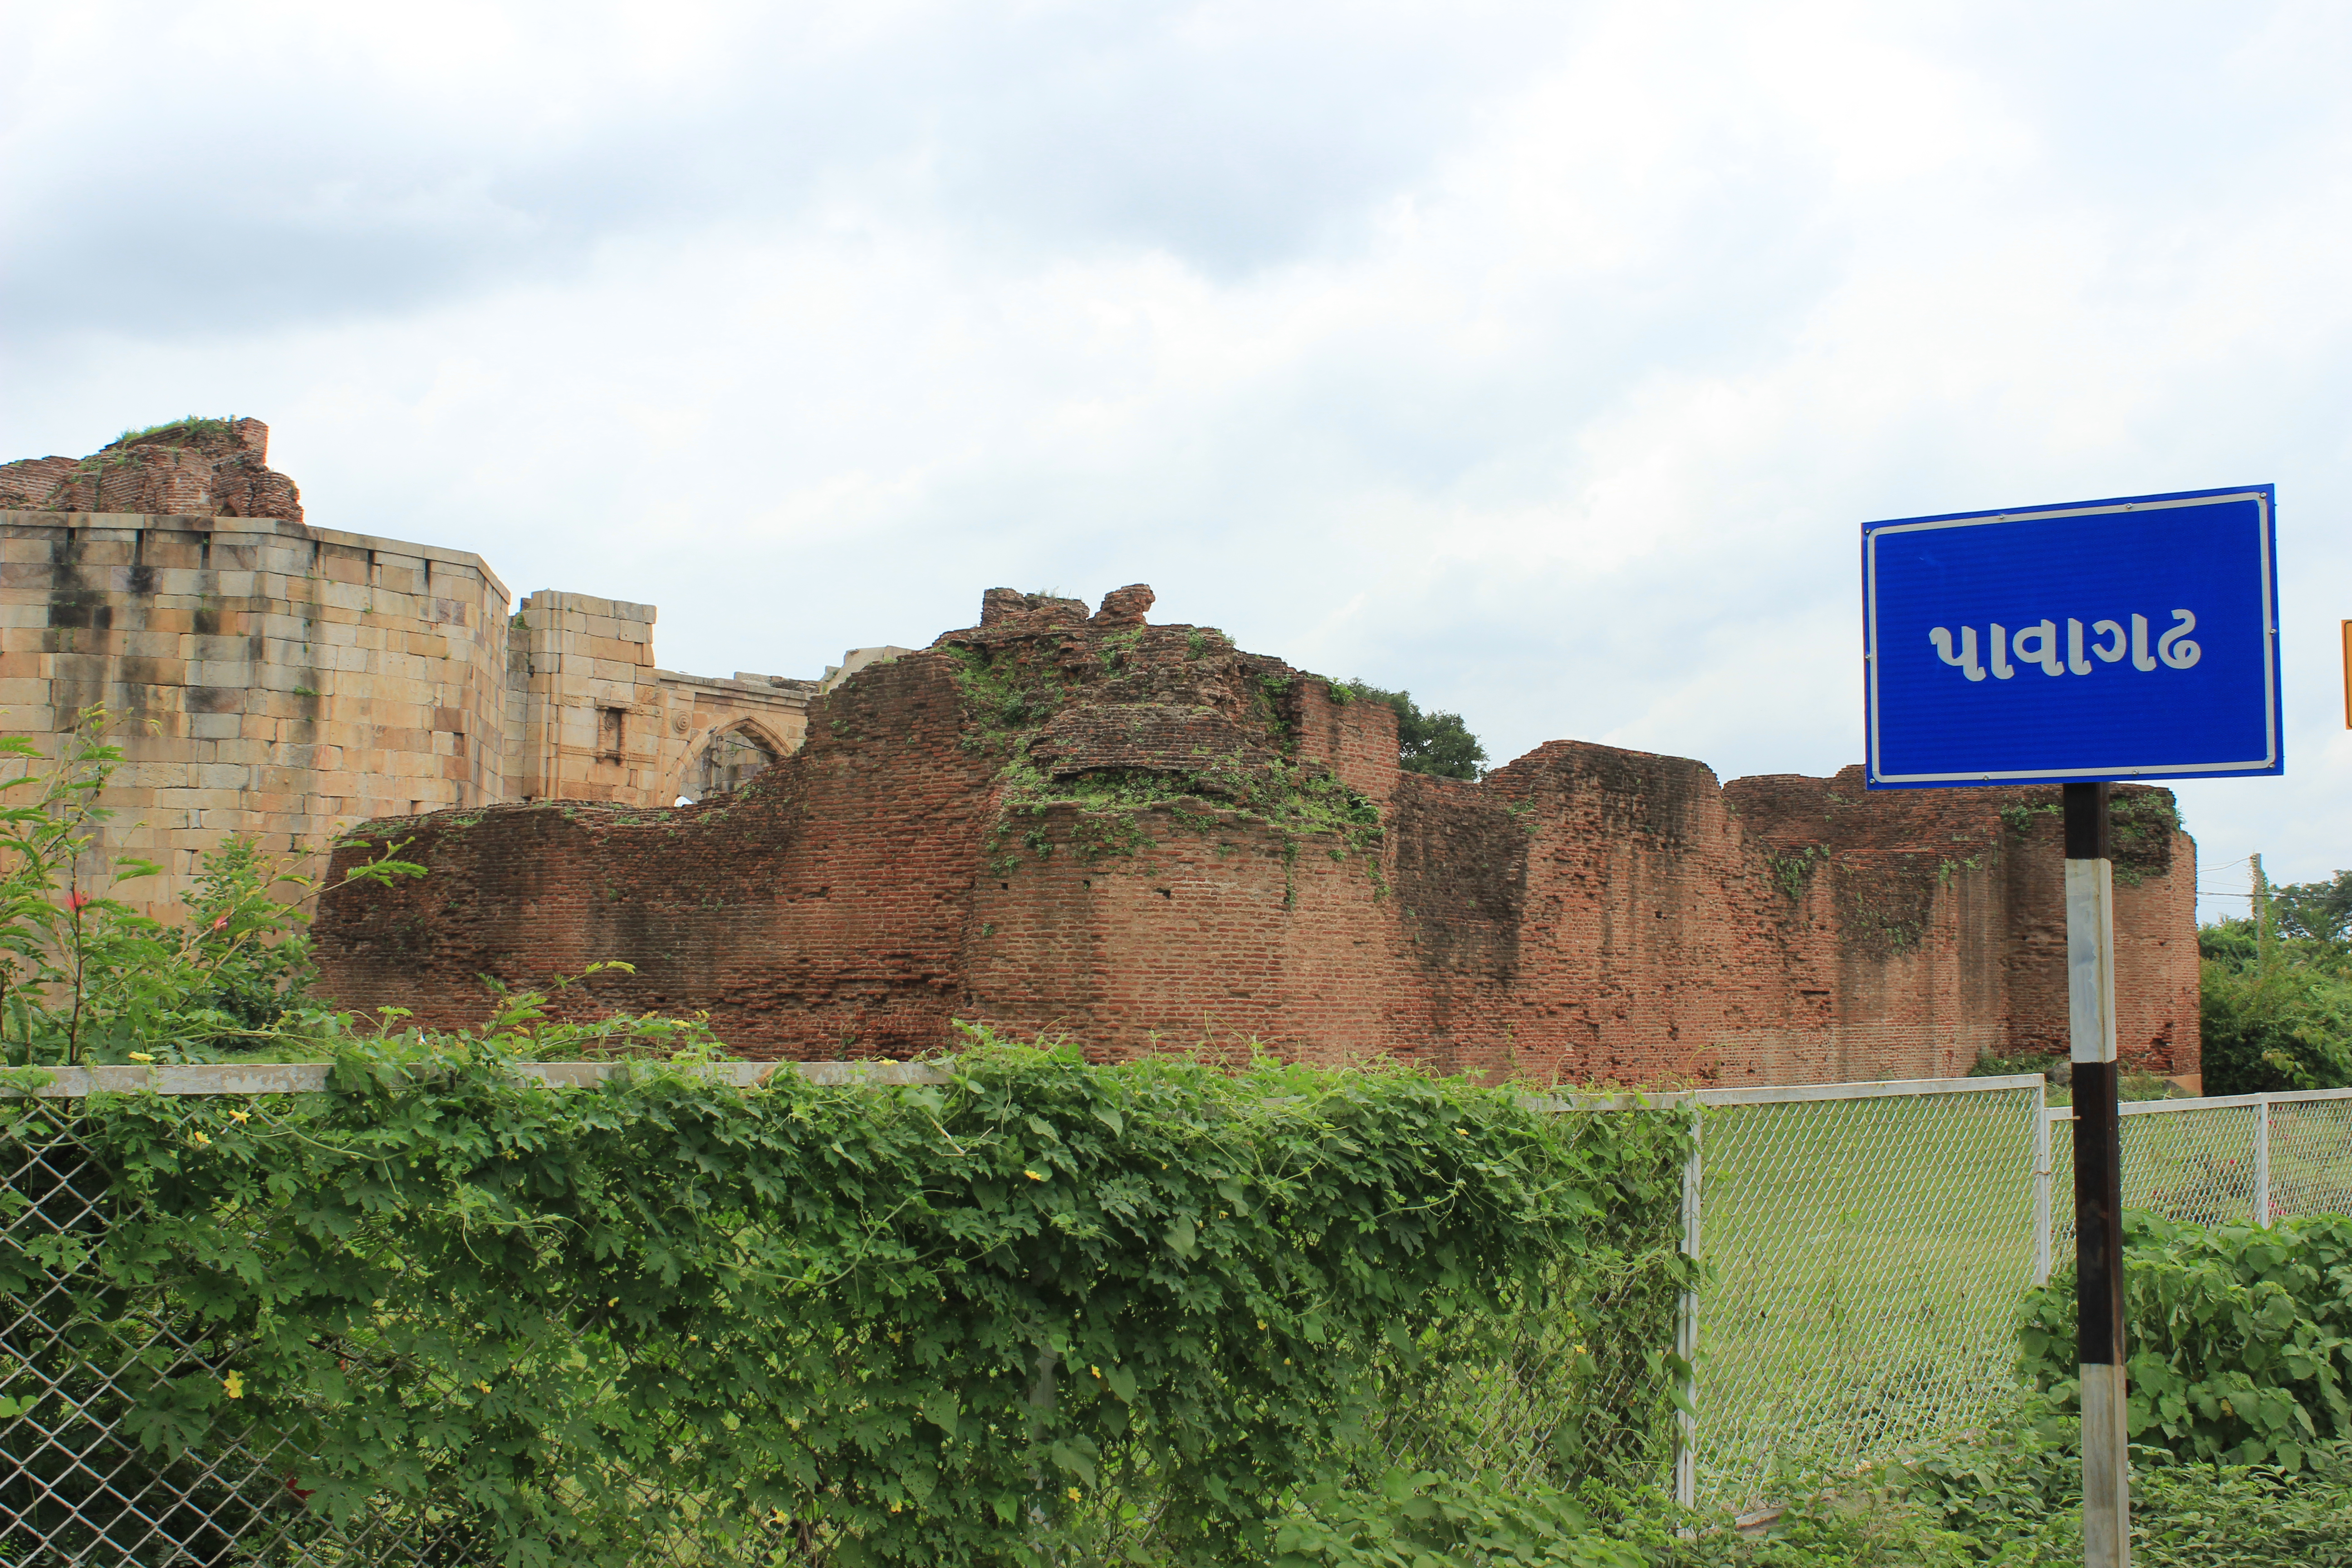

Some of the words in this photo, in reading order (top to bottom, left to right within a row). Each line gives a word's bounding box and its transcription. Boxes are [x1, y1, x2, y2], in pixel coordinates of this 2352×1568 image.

[1916, 603, 2210, 692] પાવાગઢ